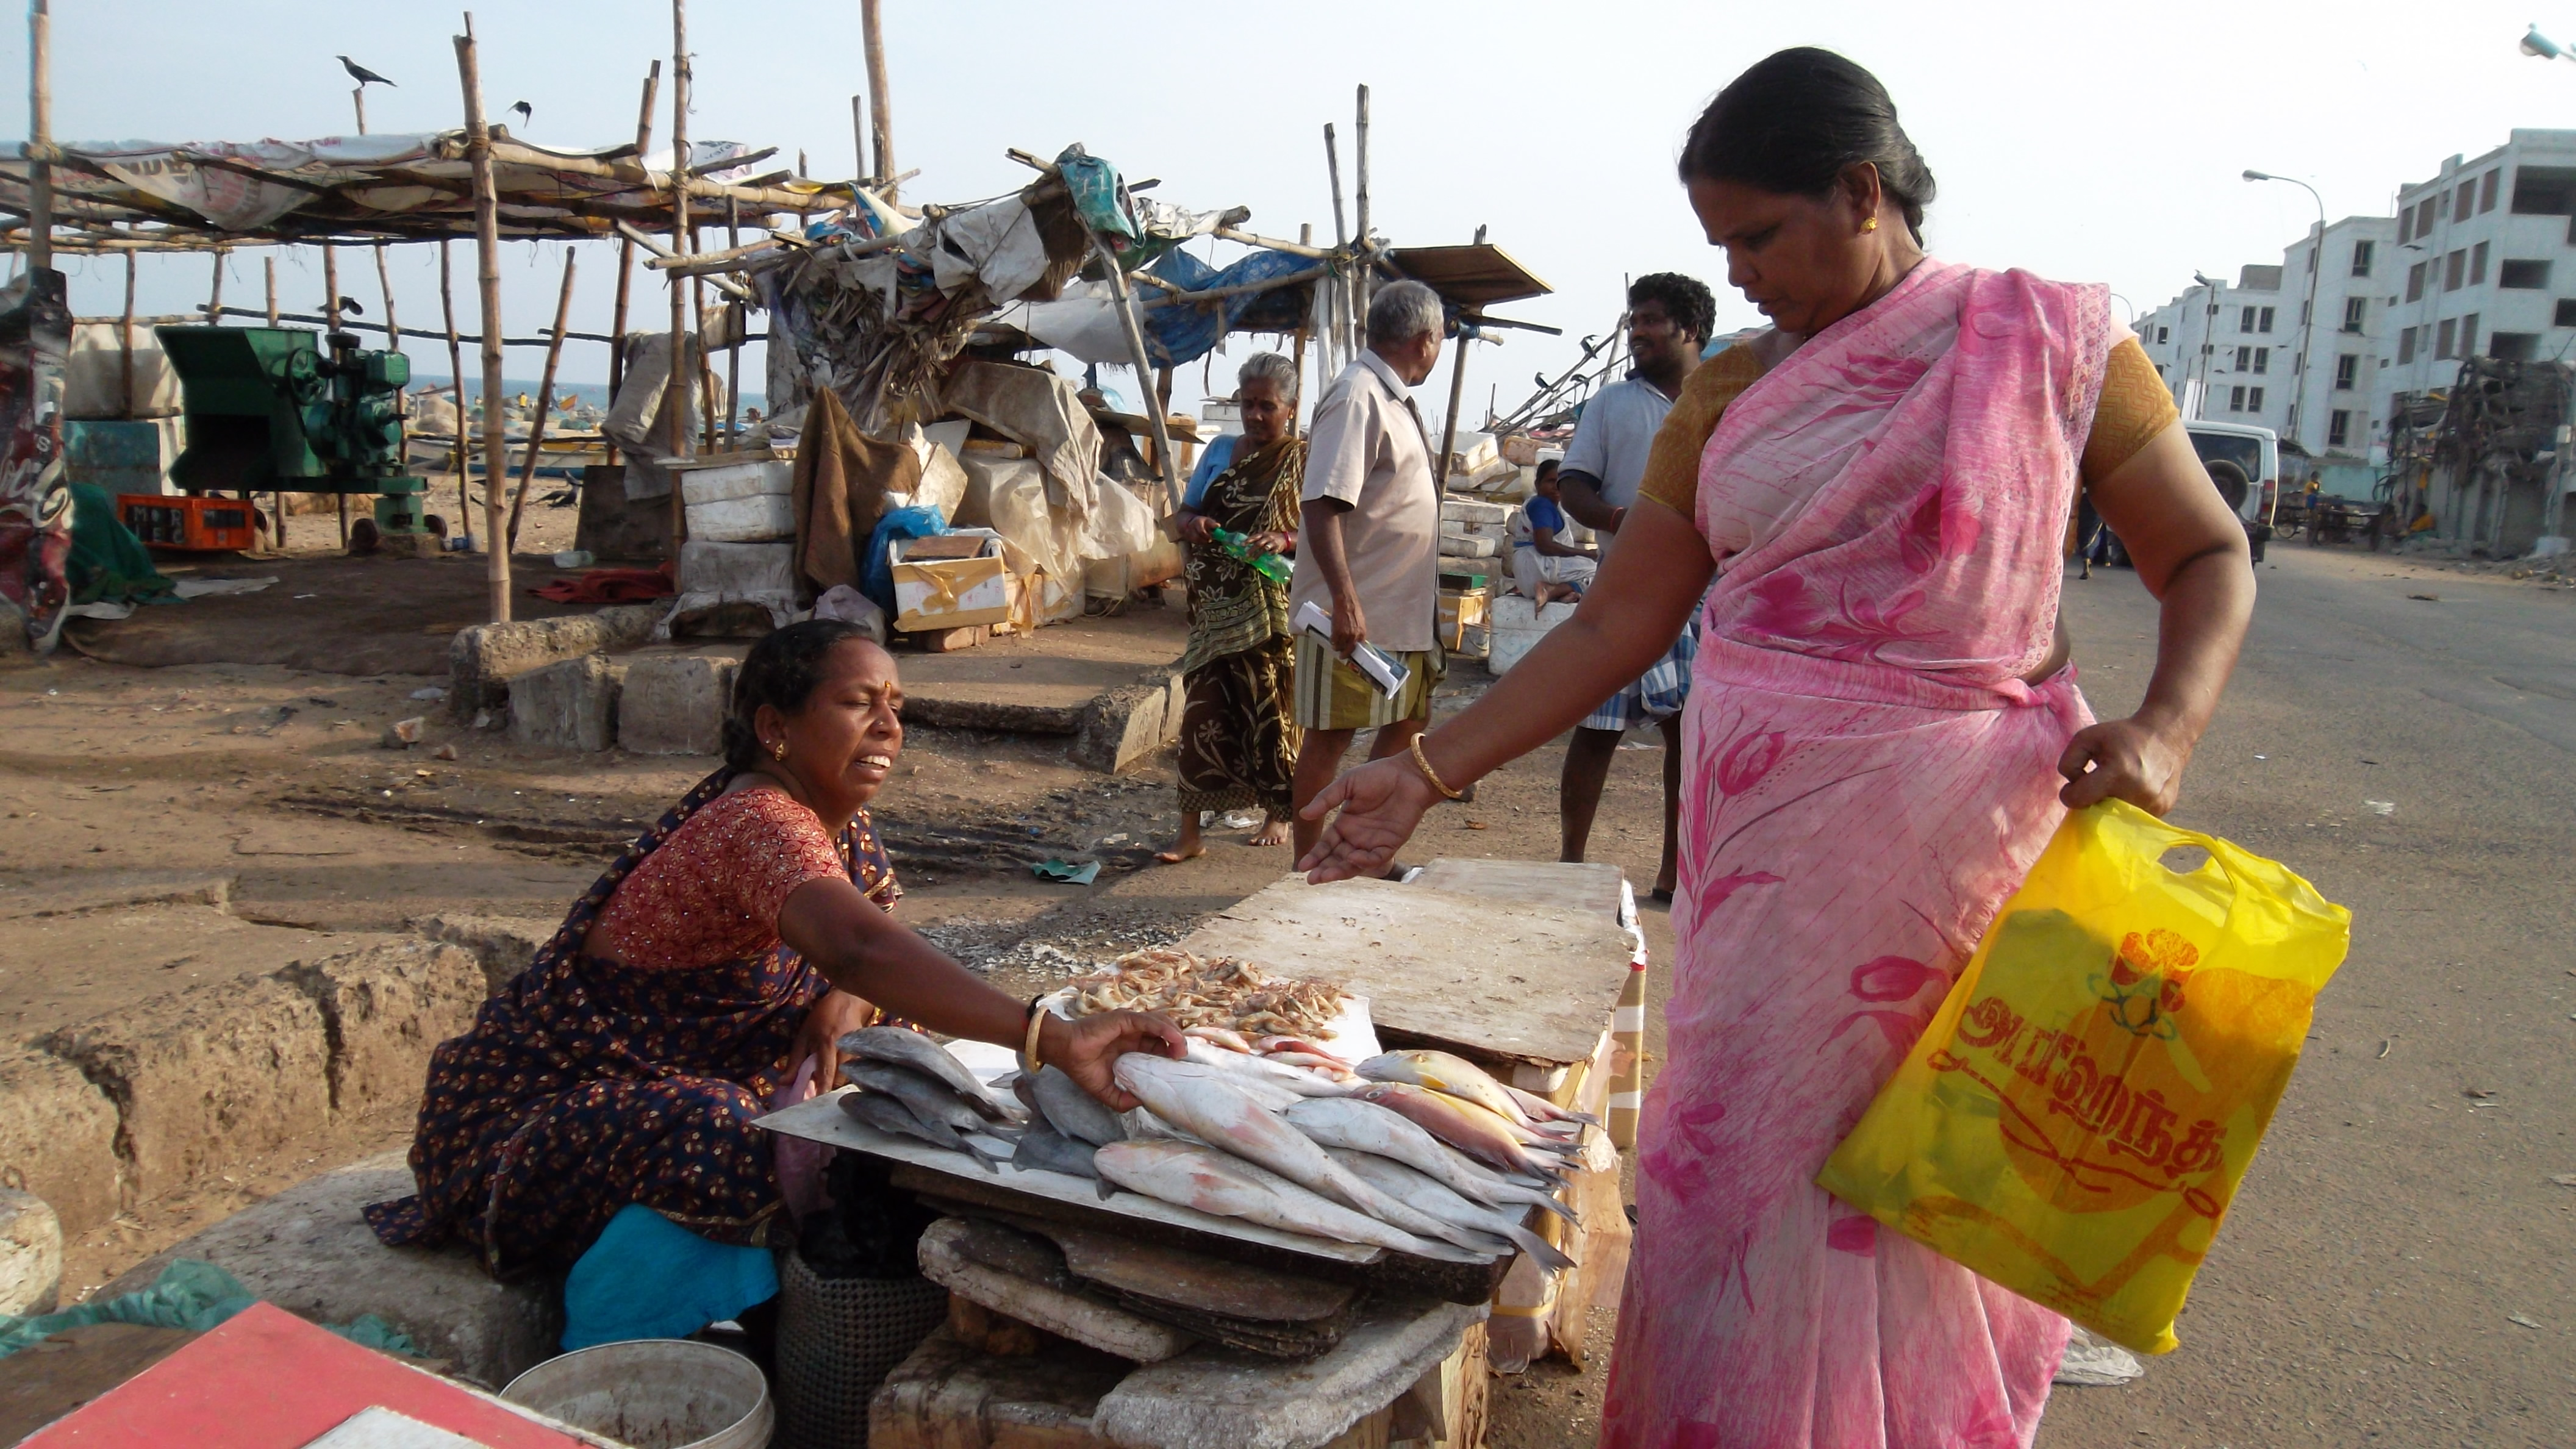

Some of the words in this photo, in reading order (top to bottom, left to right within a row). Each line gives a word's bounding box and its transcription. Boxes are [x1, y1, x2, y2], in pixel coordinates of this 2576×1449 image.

[1943, 988, 2234, 1187] அரிஹந்த்